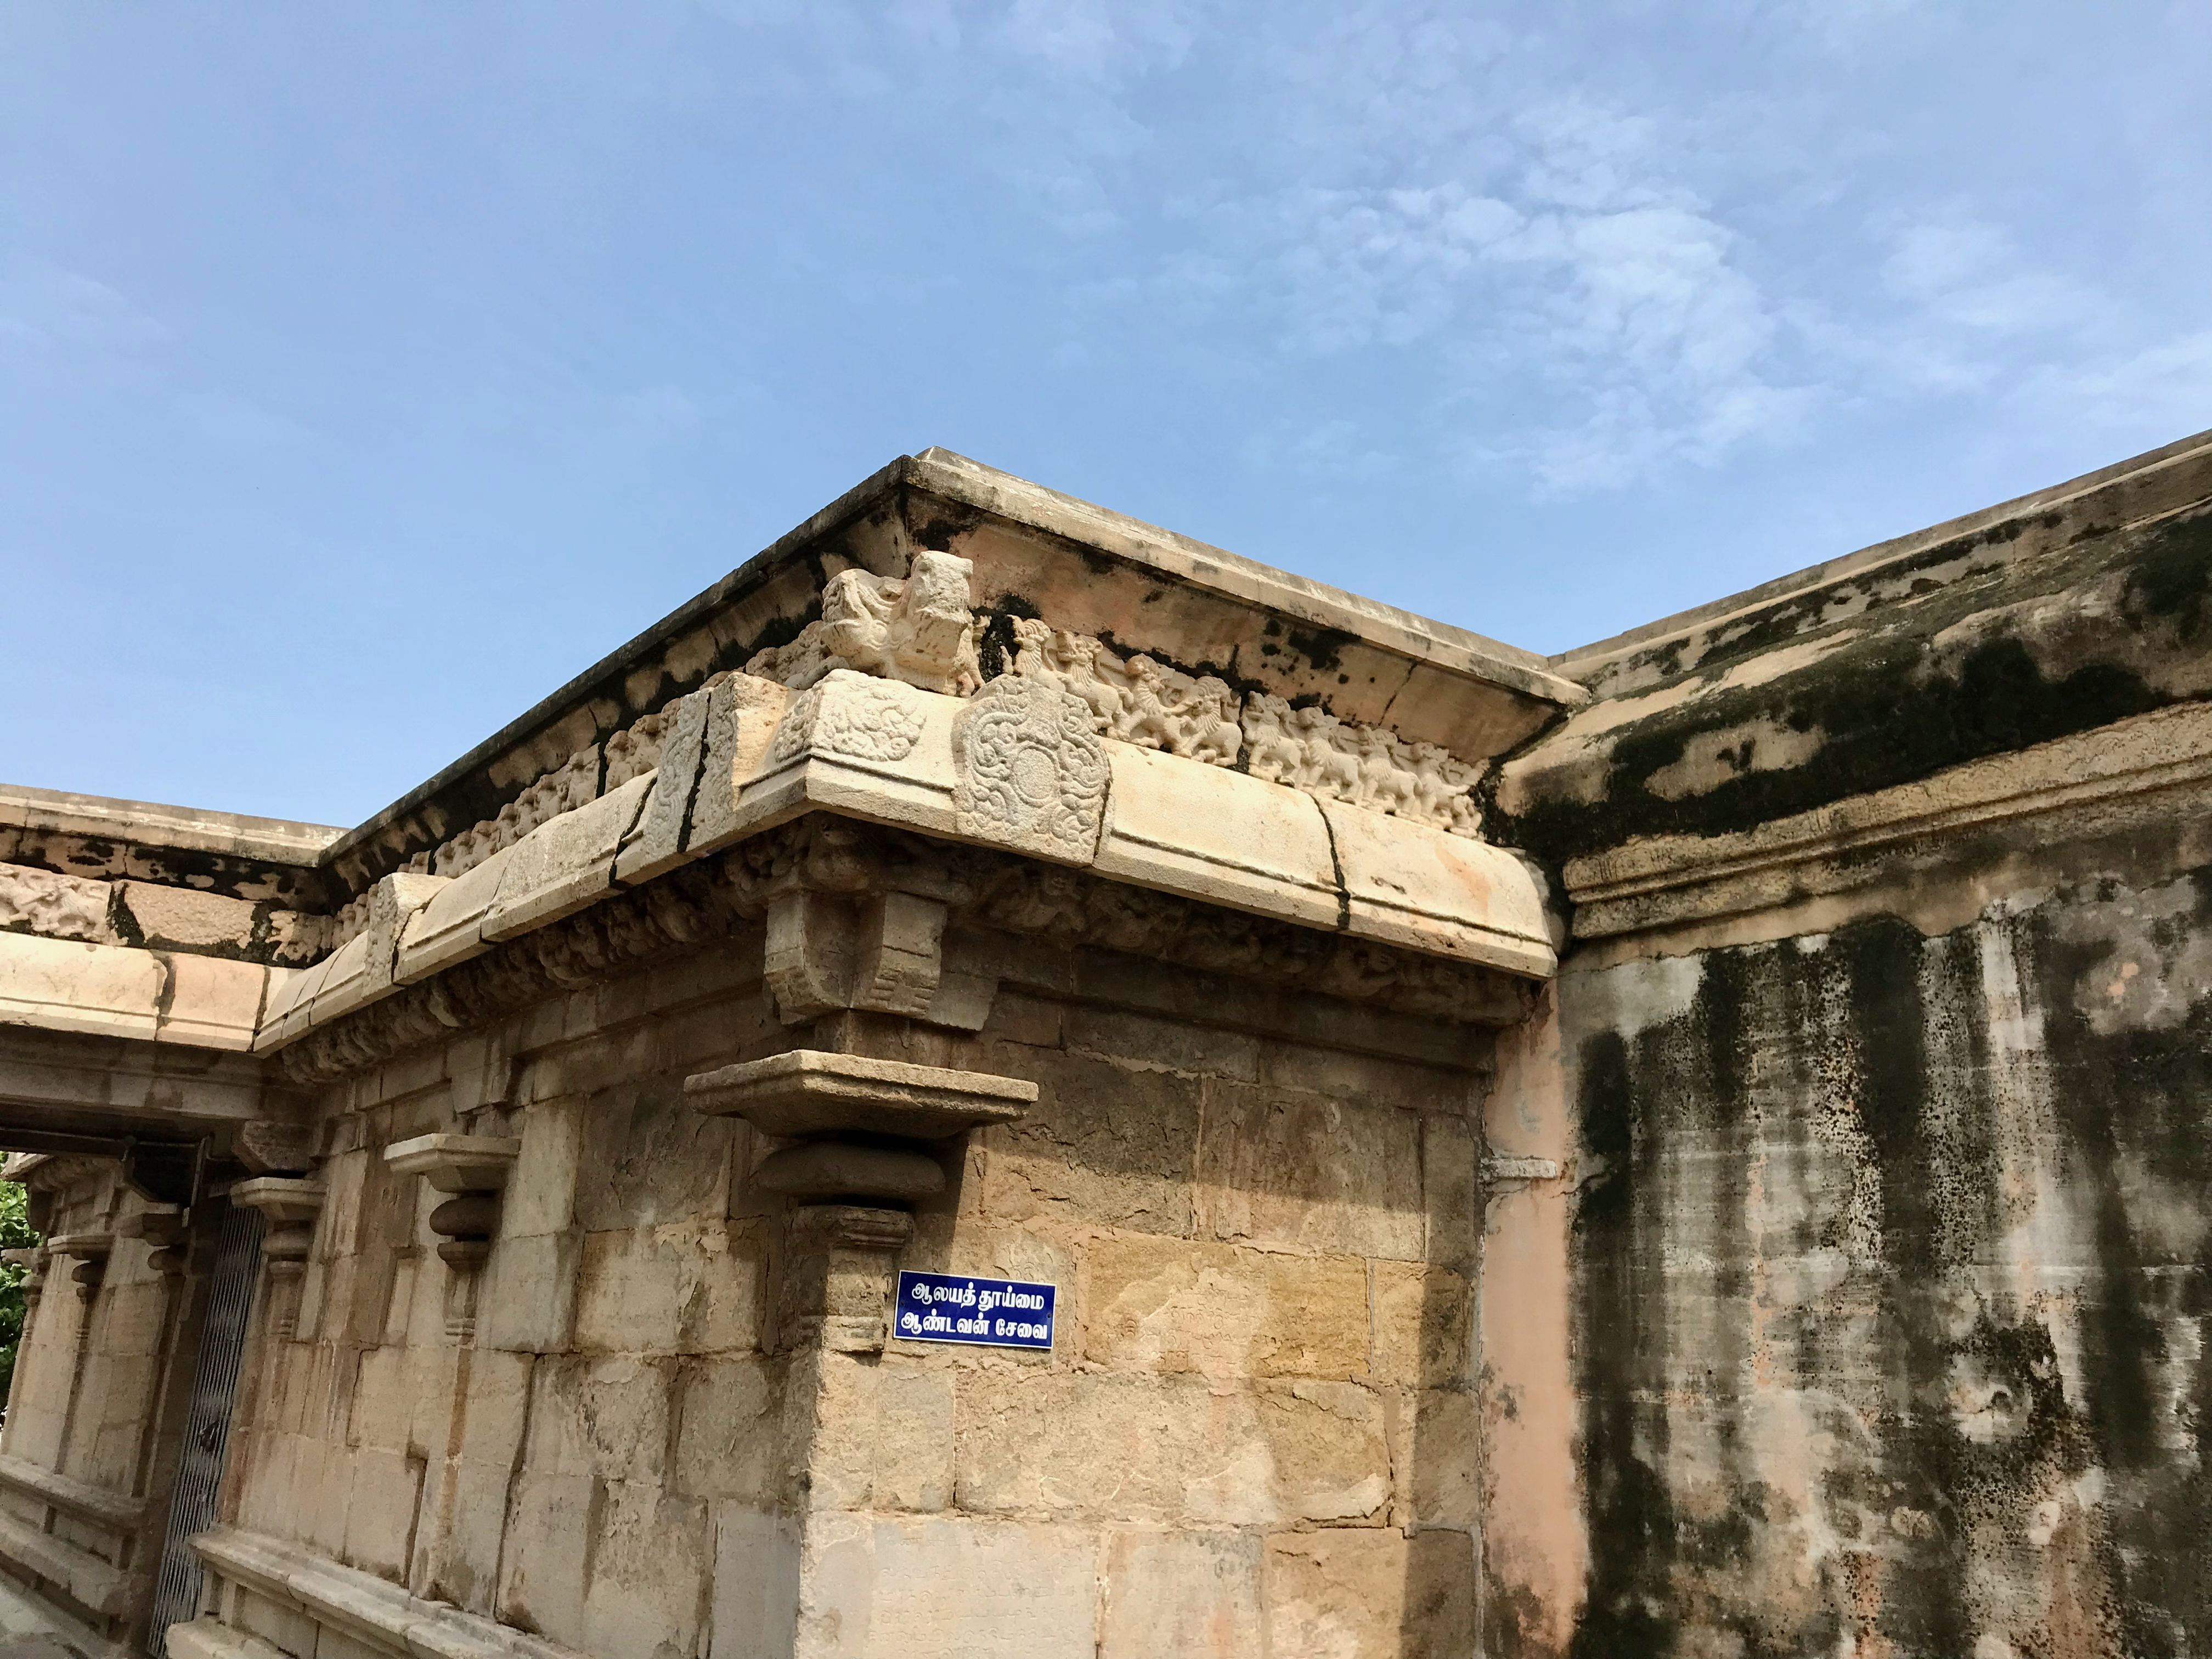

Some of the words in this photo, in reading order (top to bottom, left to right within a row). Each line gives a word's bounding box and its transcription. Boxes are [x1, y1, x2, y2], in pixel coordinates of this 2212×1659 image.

[907, 1279, 980, 1311] ஆலயத்
[975, 1282, 1047, 1313] தூய்மை
[898, 1306, 992, 1338] ஆண்டவன்
[991, 1315, 1048, 1345] சேவை